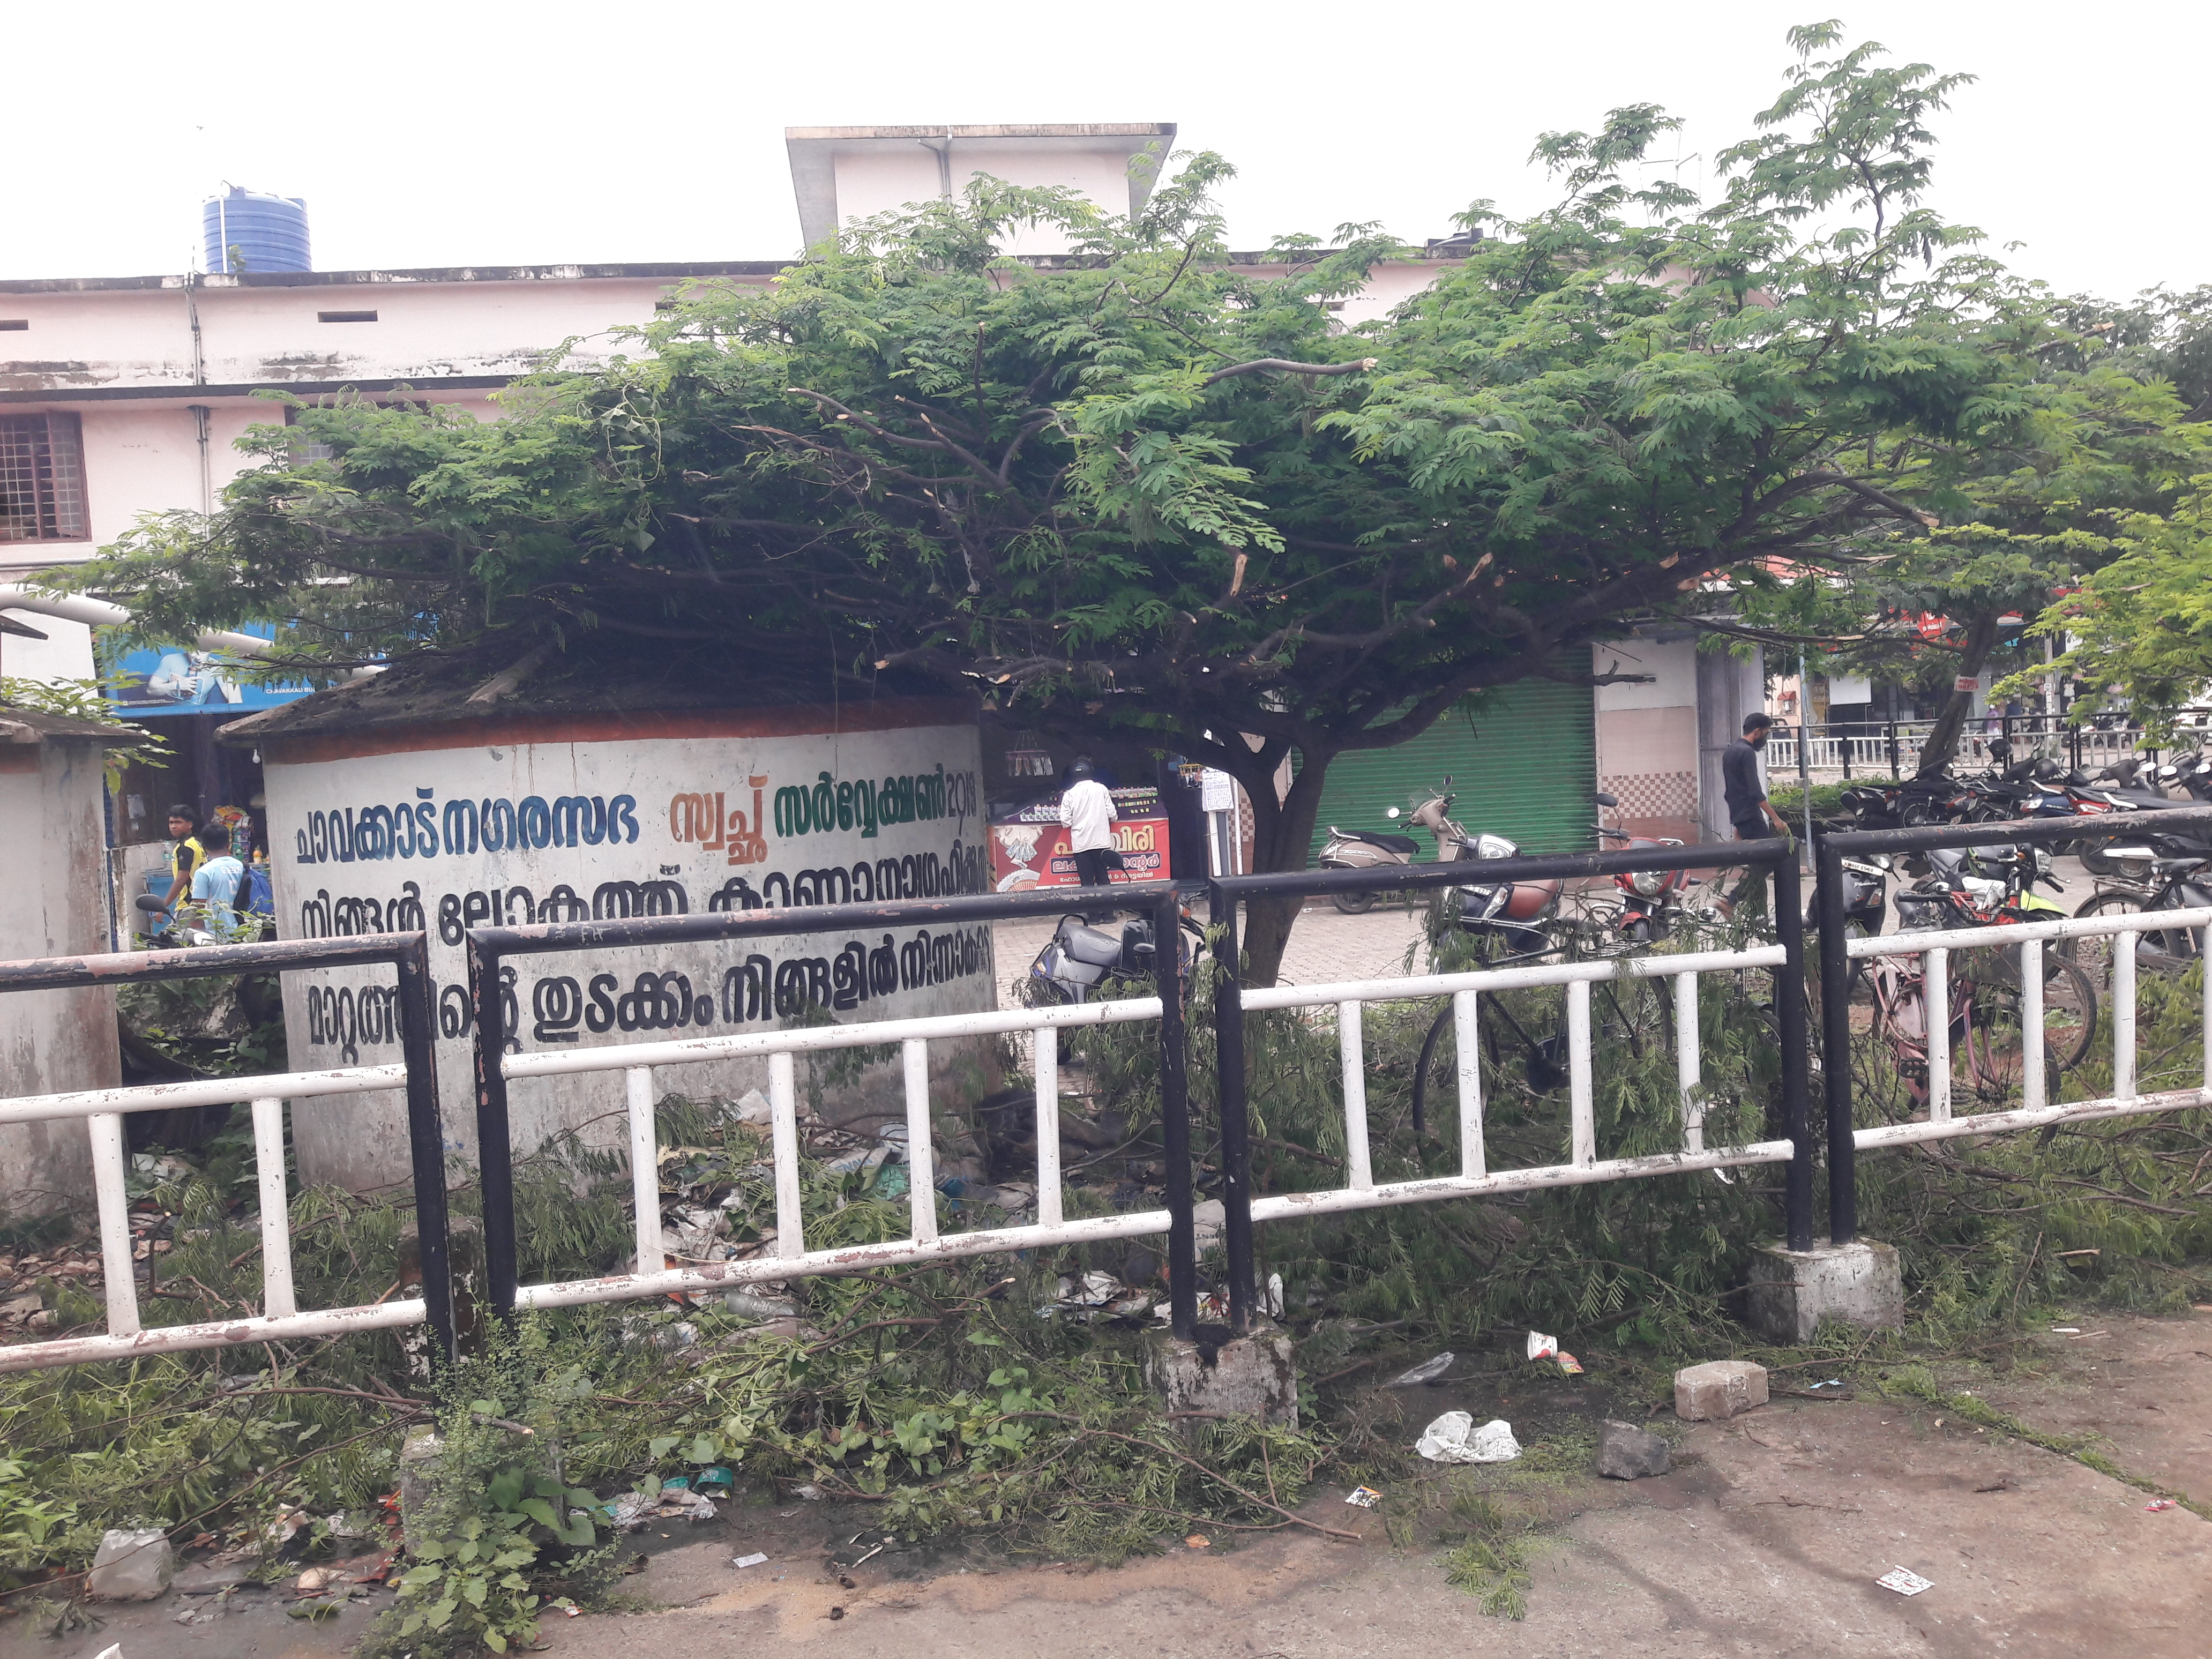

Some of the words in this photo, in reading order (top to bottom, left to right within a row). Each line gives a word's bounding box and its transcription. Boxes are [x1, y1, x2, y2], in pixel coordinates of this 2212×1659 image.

[298, 875, 430, 943] നിങ്ങൻ
[292, 782, 642, 866] ചാവക്കാട് നഗരസഭ
[432, 858, 694, 950] ലോകത്ത്
[666, 770, 772, 869] സ്വച്ഛ്
[704, 833, 992, 918] കാണാനാക്കെ
[768, 758, 980, 841] സർവ്വേക്ഷൺ2019
[1054, 823, 1157, 857] പവിരി
[1119, 851, 1161, 873] ൻ്റർ
[306, 963, 527, 1067] മാറ്റത്തിൻെ്റ
[530, 966, 719, 1045] തുടക്കം
[722, 922, 995, 1026] നിങ്ങളിൽ നിസാകറട്ട